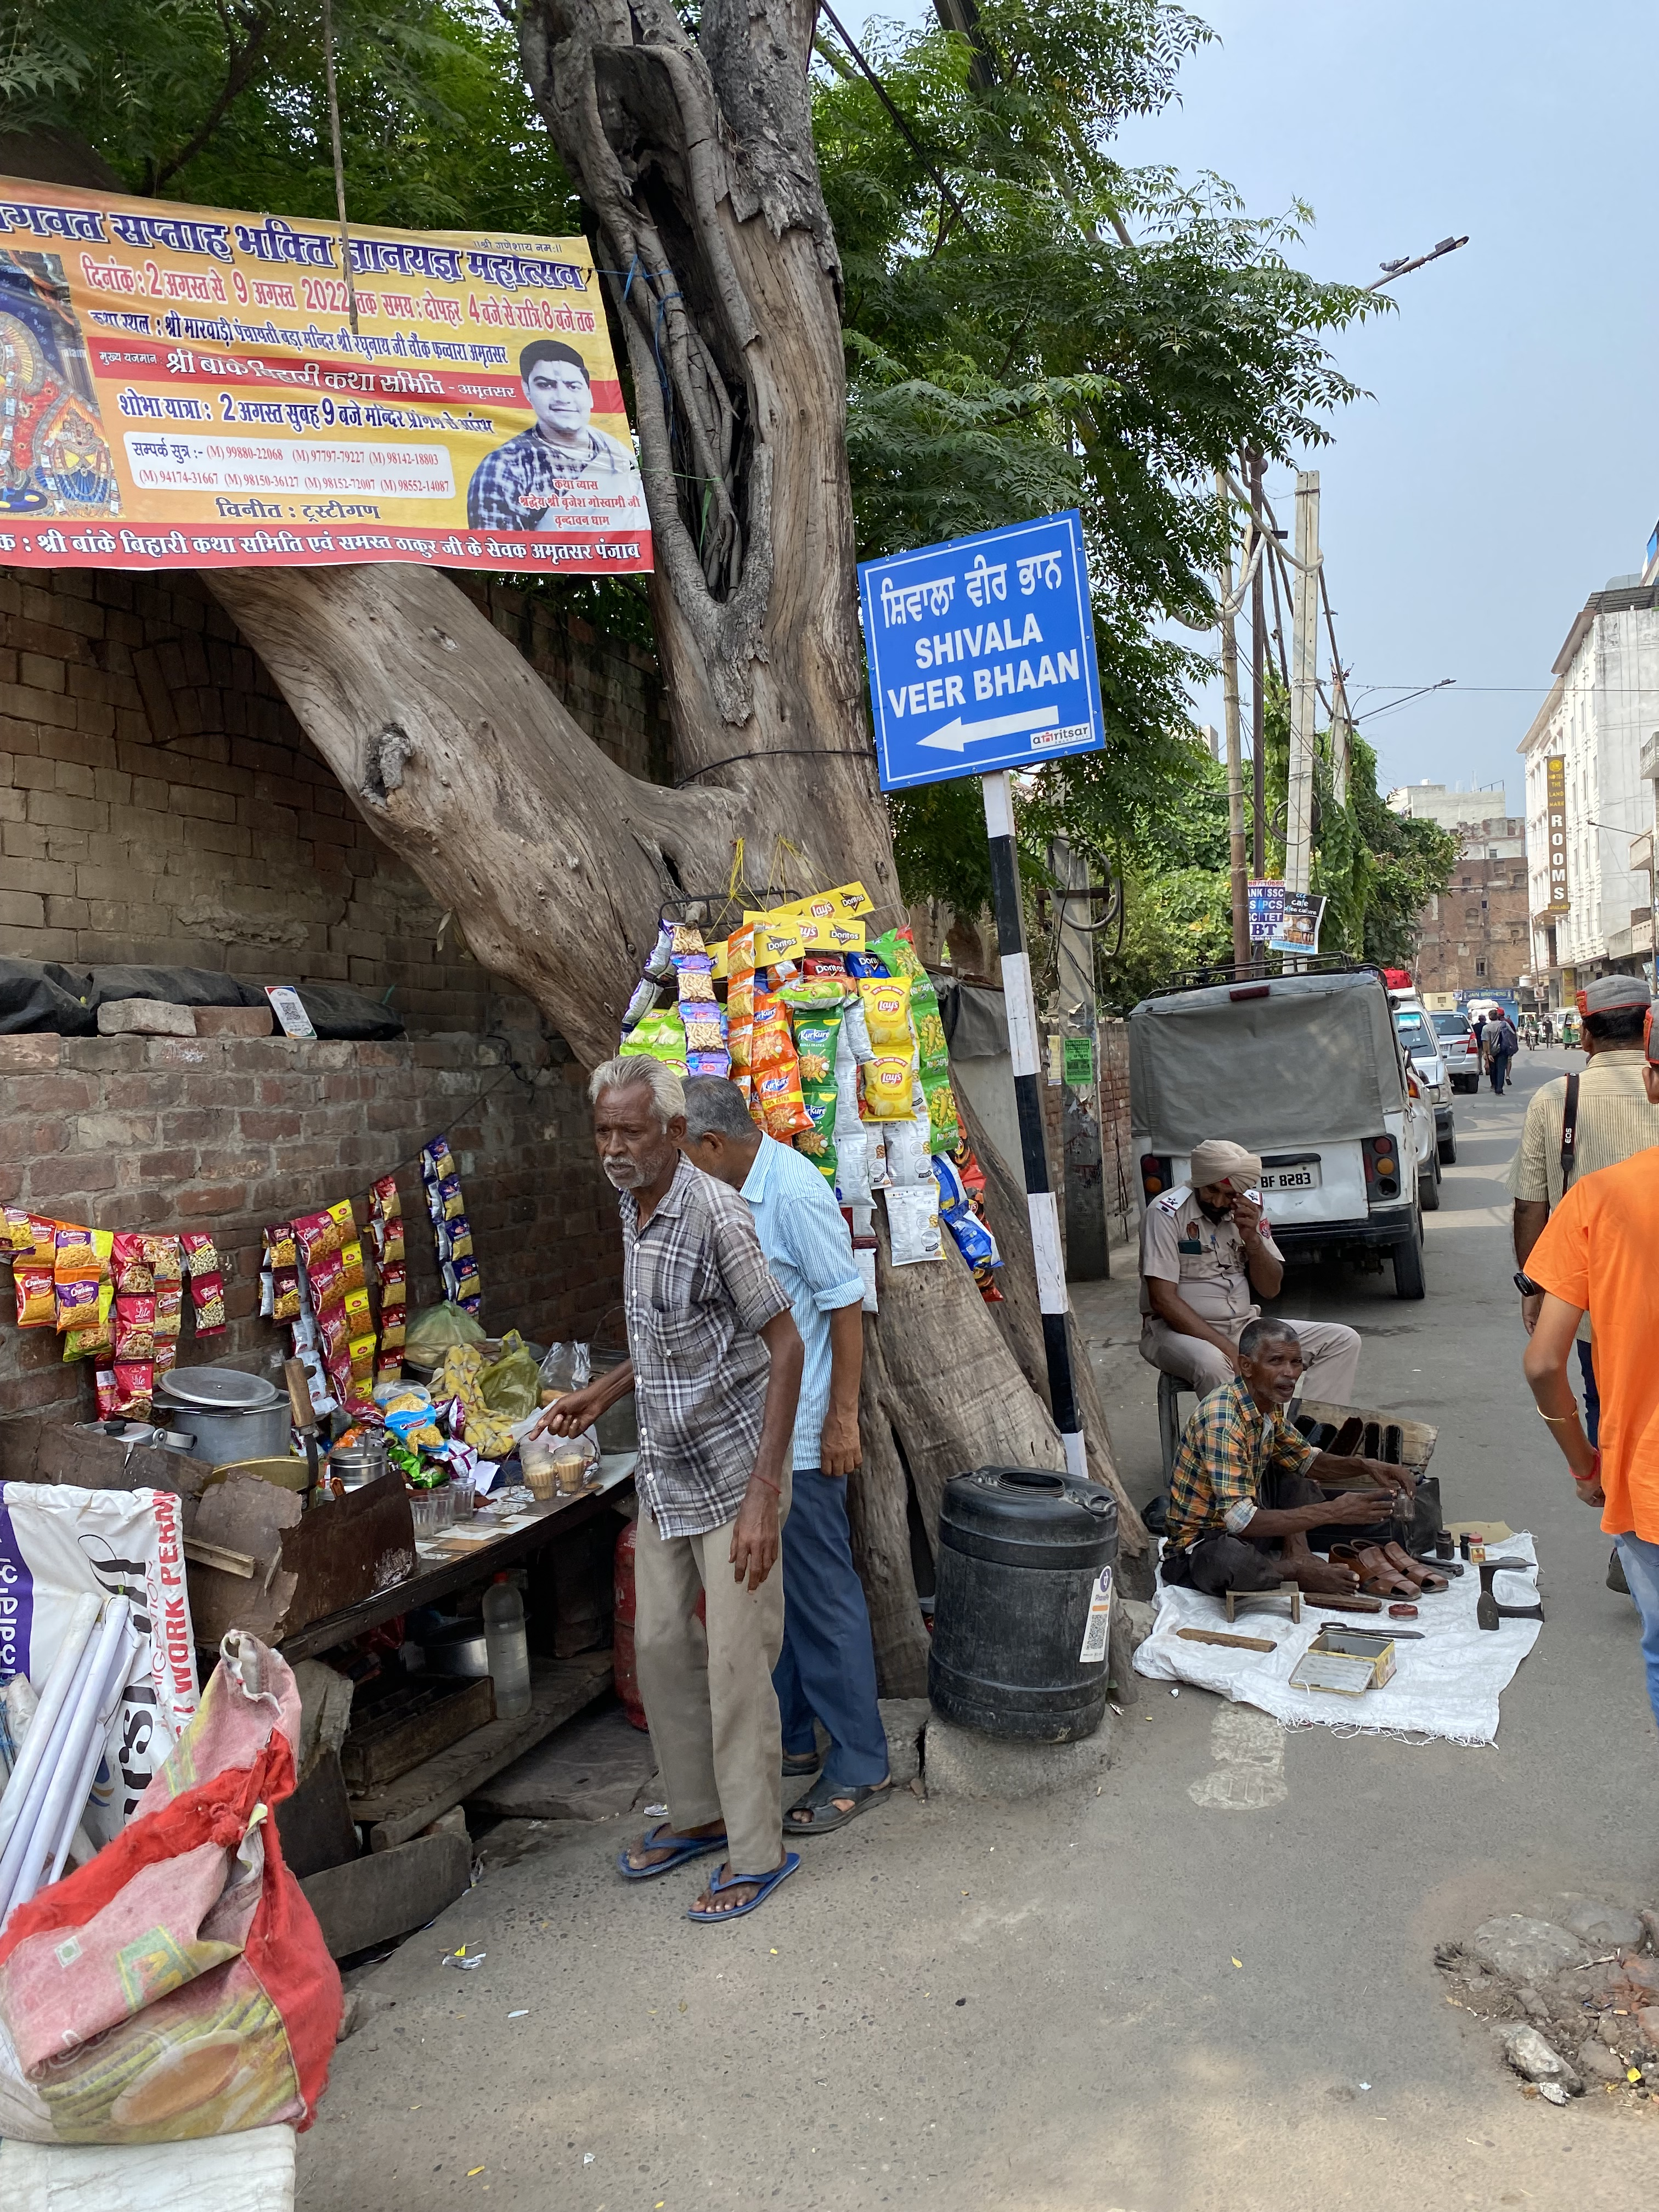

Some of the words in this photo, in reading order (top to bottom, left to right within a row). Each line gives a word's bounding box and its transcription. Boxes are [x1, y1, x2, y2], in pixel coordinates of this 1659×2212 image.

[1, 198, 115, 250] गवत
[74, 247, 137, 299] दिनांक
[97, 349, 125, 368] मुख्य
[115, 383, 166, 422] शोभा
[122, 349, 160, 369] यजमान
[139, 256, 166, 299] 2
[104, 205, 239, 268] सप्ताह
[161, 307, 185, 340] श्री
[162, 343, 198, 380] श्री
[161, 393, 206, 424] यात्रा
[166, 267, 215, 307] अगस्त
[183, 312, 238, 349] मारवाड़ी
[206, 265, 230, 308] से
[215, 390, 238, 426] 2
[228, 268, 253, 309] 9
[231, 317, 283, 347] पंचायती
[236, 396, 287, 429] अगस्त
[251, 277, 300, 315] अगस्त
[242, 351, 326, 389] बिहारी
[233, 215, 342, 271] भक्‍ति
[279, 326, 307, 354] बडा़
[284, 398, 323, 435] सुबह
[301, 321, 340, 356] मन्दिर
[297, 273, 351, 318] 2022
[318, 396, 338, 430] 9
[335, 325, 355, 358] श्री
[321, 364, 381, 398] कथा
[338, 396, 365, 431] बजे
[353, 286, 378, 323] तक
[351, 332, 395, 365] रघुनाथ
[364, 400, 409, 433] मन्दिर
[377, 287, 418, 323] समय
[390, 330, 411, 360] जी
[348, 237, 470, 286] ज्ञानयज्ञ
[376, 366, 449, 399] समिति
[405, 329, 432, 362] चौंक
[418, 287, 466, 331] दोपहर
[430, 335, 472, 364] फव्वारा
[462, 292, 487, 332] 4
[480, 235, 495, 251] श्री
[467, 340, 512, 372] अमृतसर
[458, 376, 524, 404] अमृतसर
[478, 291, 506, 332] बजे
[501, 294, 520, 331] से
[494, 237, 537, 255] गणेशाय
[464, 249, 590, 296] महोत्सव
[513, 294, 548, 331] रात्रि
[533, 241, 557, 257] नमः
[537, 296, 556, 334] 8
[552, 301, 577, 335] बजे
[573, 306, 602, 335] तक
[129, 433, 170, 462] सम्पर्क
[168, 439, 192, 466] सुत्र
[207, 443, 223, 462] (M)
[221, 443, 287, 466] 99880-22068
[293, 444, 309, 465] (M)
[309, 444, 368, 466] 97797-79227
[370, 449, 386, 466] M)
[386, 449, 442, 469] 98142-18803
[140, 467, 157, 488] (M)
[158, 467, 221, 487] 94174-31667
[224, 470, 241, 490] (M)
[241, 472, 305, 492] 98150-36127
[303, 474, 321, 492] (M)
[318, 475, 378, 492] 98152-72007
[380, 477, 395, 494] (M)
[397, 476, 453, 494] 98552-14087
[515, 488, 546, 512] श्रद्धेय
[545, 492, 560, 510] श्री
[548, 475, 576, 490] कथा
[560, 490, 589, 512] बृजेश
[573, 475, 602, 494] व्‍यास
[587, 492, 628, 513] गोस्वामी
[627, 492, 646, 511] जी
[551, 513, 591, 533] वृन्दावन
[591, 513, 613, 527] धाम
[35, 520, 70, 561] श्री
[66, 525, 121, 558] बांके
[116, 523, 193, 562] बिहारी
[188, 529, 241, 561] कथा
[236, 525, 306, 557] समिति
[303, 525, 340, 555] एवं
[335, 531, 397, 552] समस्त
[393, 534, 442, 562] ठाकुर
[438, 532, 468, 558] जी
[464, 533, 486, 558] के
[483, 532, 531, 562] सेवक
[530, 541, 599, 567] अमृतसर
[592, 534, 648, 562] पंजाब
[960, 545, 1014, 616] ਵੀਰ
[1011, 543, 1073, 601] ਭਾਨ
[874, 565, 960, 630] ਸ਼ਿਵਾਲਾ
[907, 606, 1053, 673] SHIVALA
[969, 643, 1086, 710] BHAAN
[883, 665, 973, 727] VEER
[1029, 723, 1091, 747] amritsar
[765, 935, 799, 951] Doritos
[830, 929, 861, 942] Doritos
[1248, 898, 1260, 911] S
[1250, 922, 1280, 938] BT
[1261, 911, 1284, 922] TET
[1261, 899, 1286, 912] PCS
[1266, 887, 1285, 899] SSC
[877, 1000, 900, 1013] Lay
[881, 1070, 903, 1086] Lay
[1259, 1173, 1277, 1191] BF
[1278, 1170, 1313, 1191] 8283